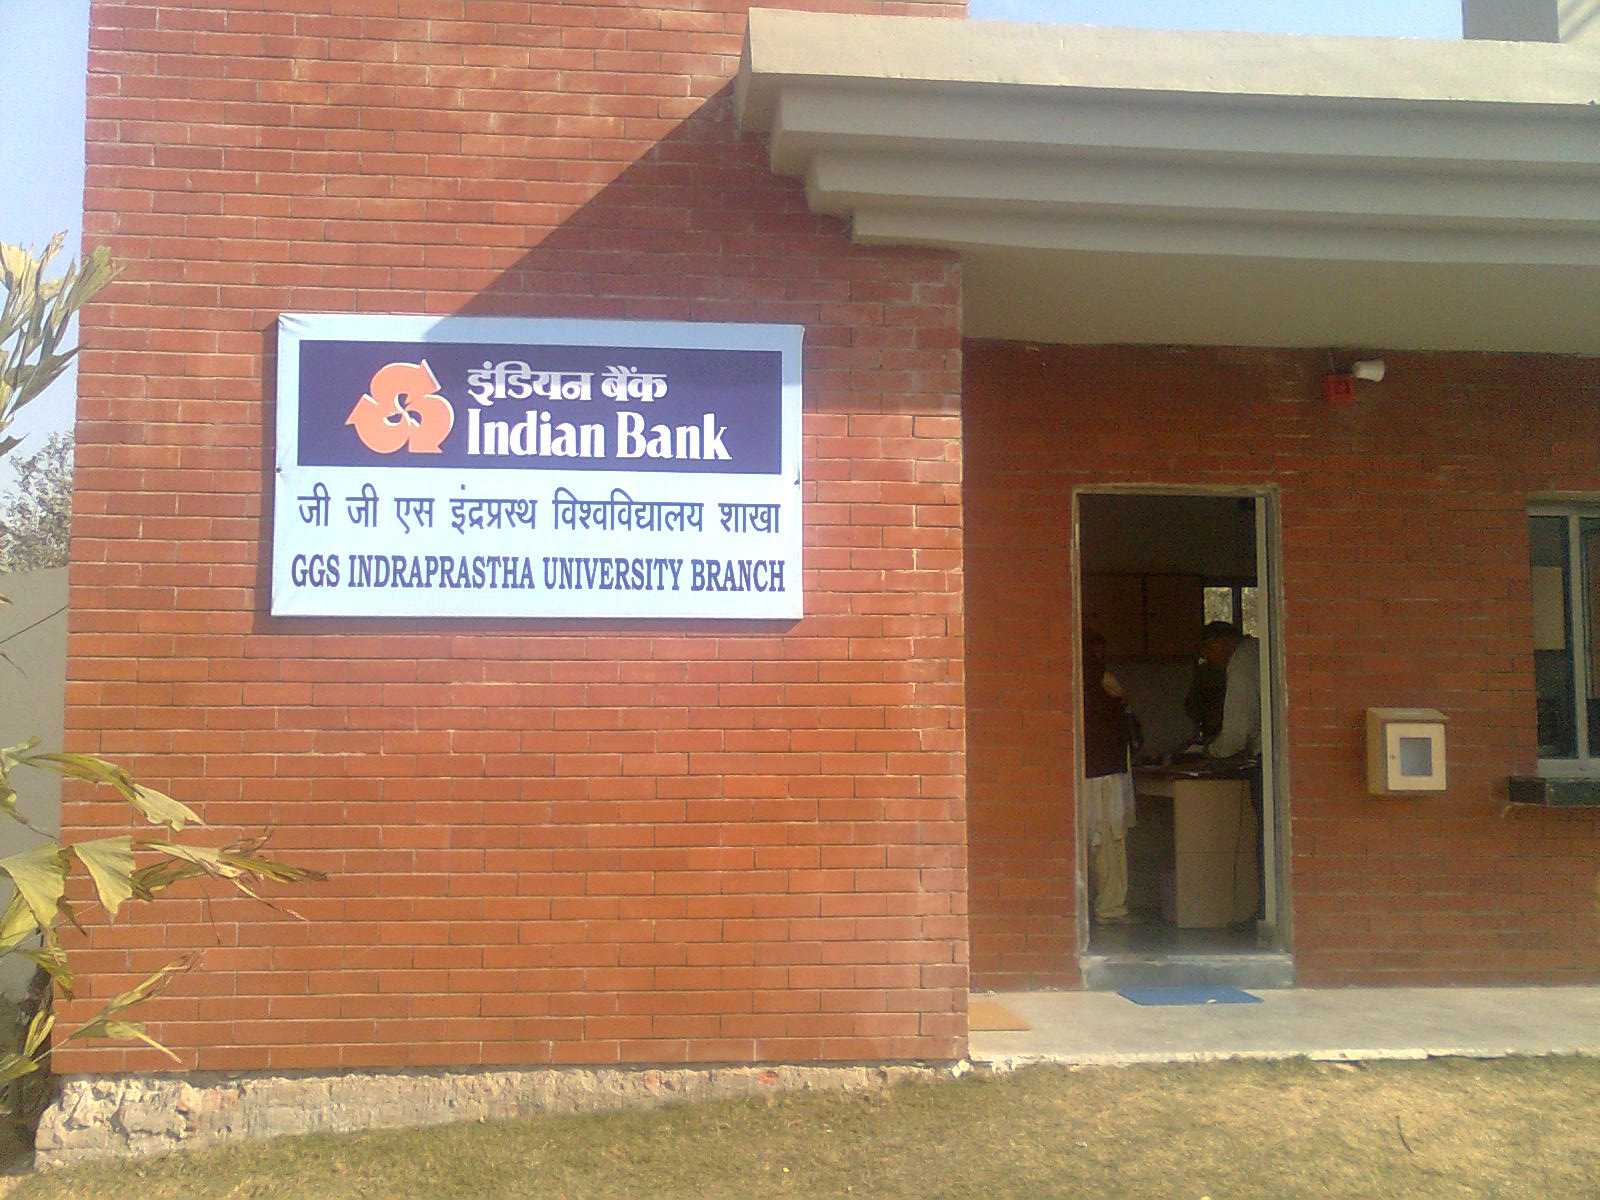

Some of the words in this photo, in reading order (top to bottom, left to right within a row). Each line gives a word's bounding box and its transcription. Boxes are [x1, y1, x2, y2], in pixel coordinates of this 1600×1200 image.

[463, 354, 595, 407] इंडियन
[598, 356, 670, 407] बैंक
[466, 405, 610, 463] Indian
[611, 408, 735, 463] Bank
[292, 479, 335, 530] जी
[342, 479, 384, 530] जी
[390, 491, 440, 535] एस
[444, 477, 540, 541] इंद्रप्रस्थ
[545, 481, 706, 535] विश्‍वविद्यालय
[717, 499, 783, 537] शाखा
[289, 548, 345, 592] GGS
[344, 553, 537, 593] INDRAPRASTHA
[541, 553, 687, 595] UNIVERSITY
[687, 556, 790, 595] BRANCH